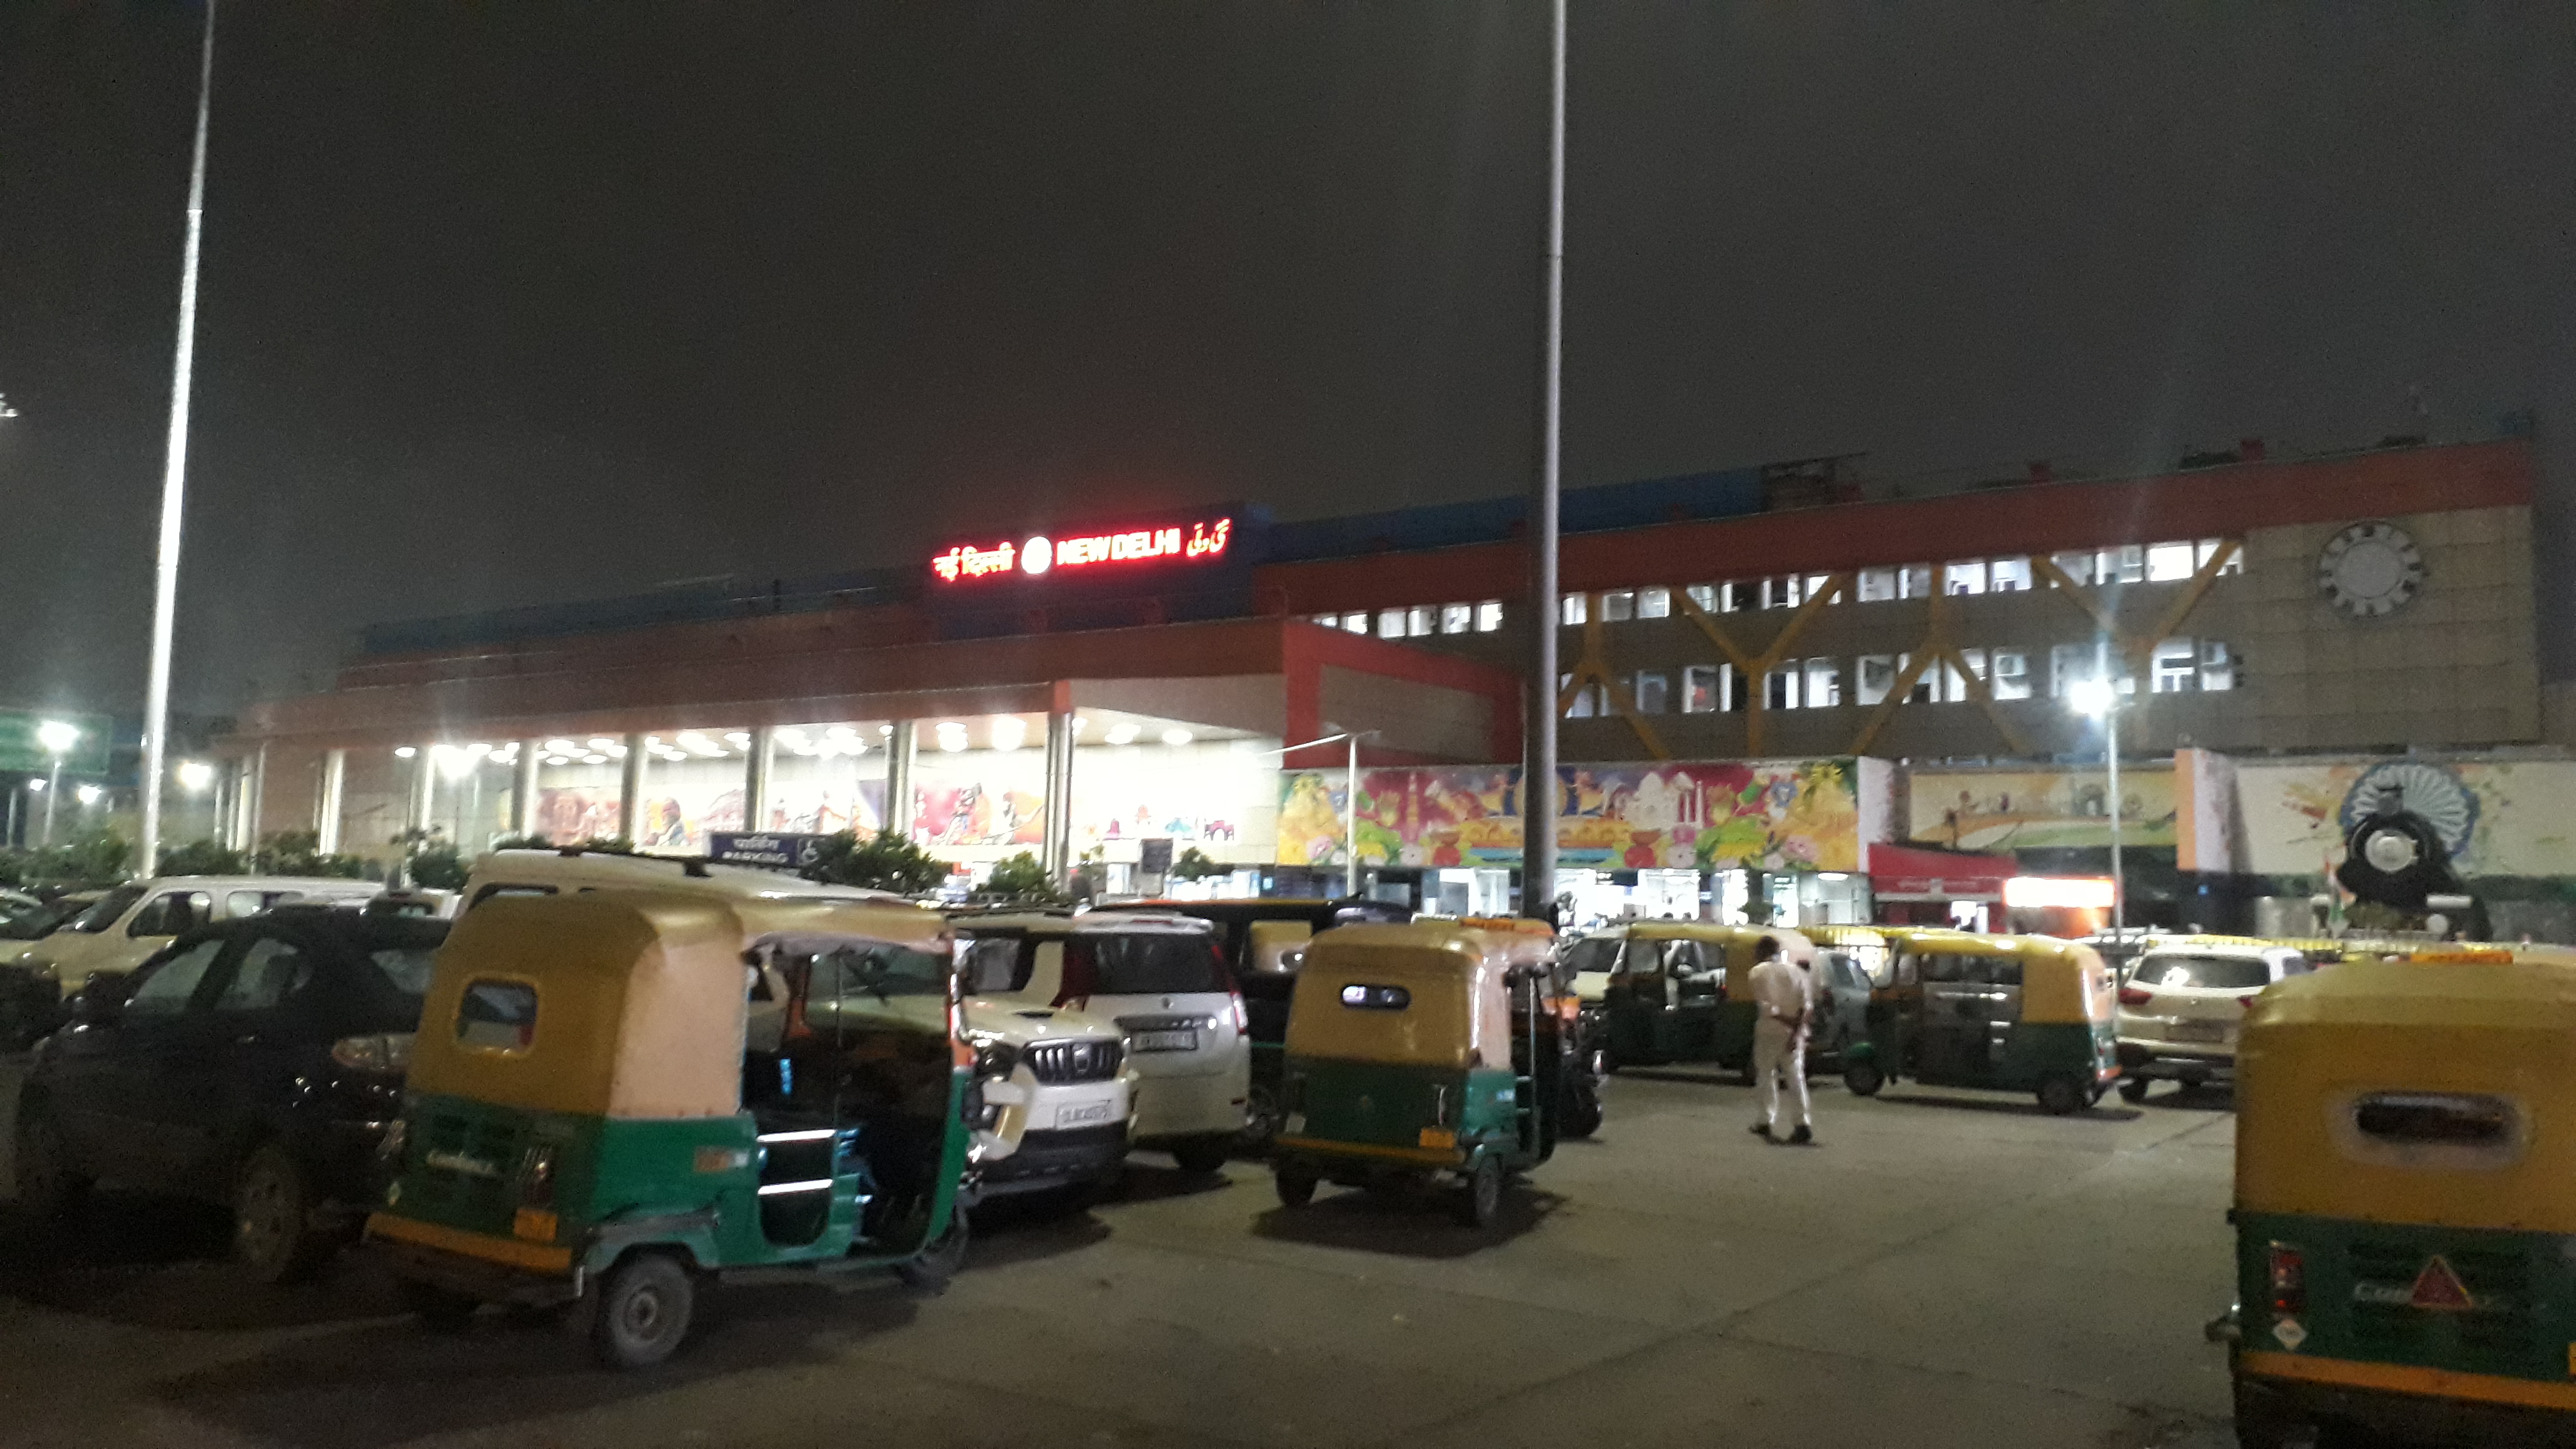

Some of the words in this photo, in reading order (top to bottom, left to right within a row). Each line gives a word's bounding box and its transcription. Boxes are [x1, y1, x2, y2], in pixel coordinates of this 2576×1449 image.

[930, 538, 1020, 584] नई दिल्ली
[1055, 534, 1113, 566] NEW
[1109, 527, 1182, 564] DELHI